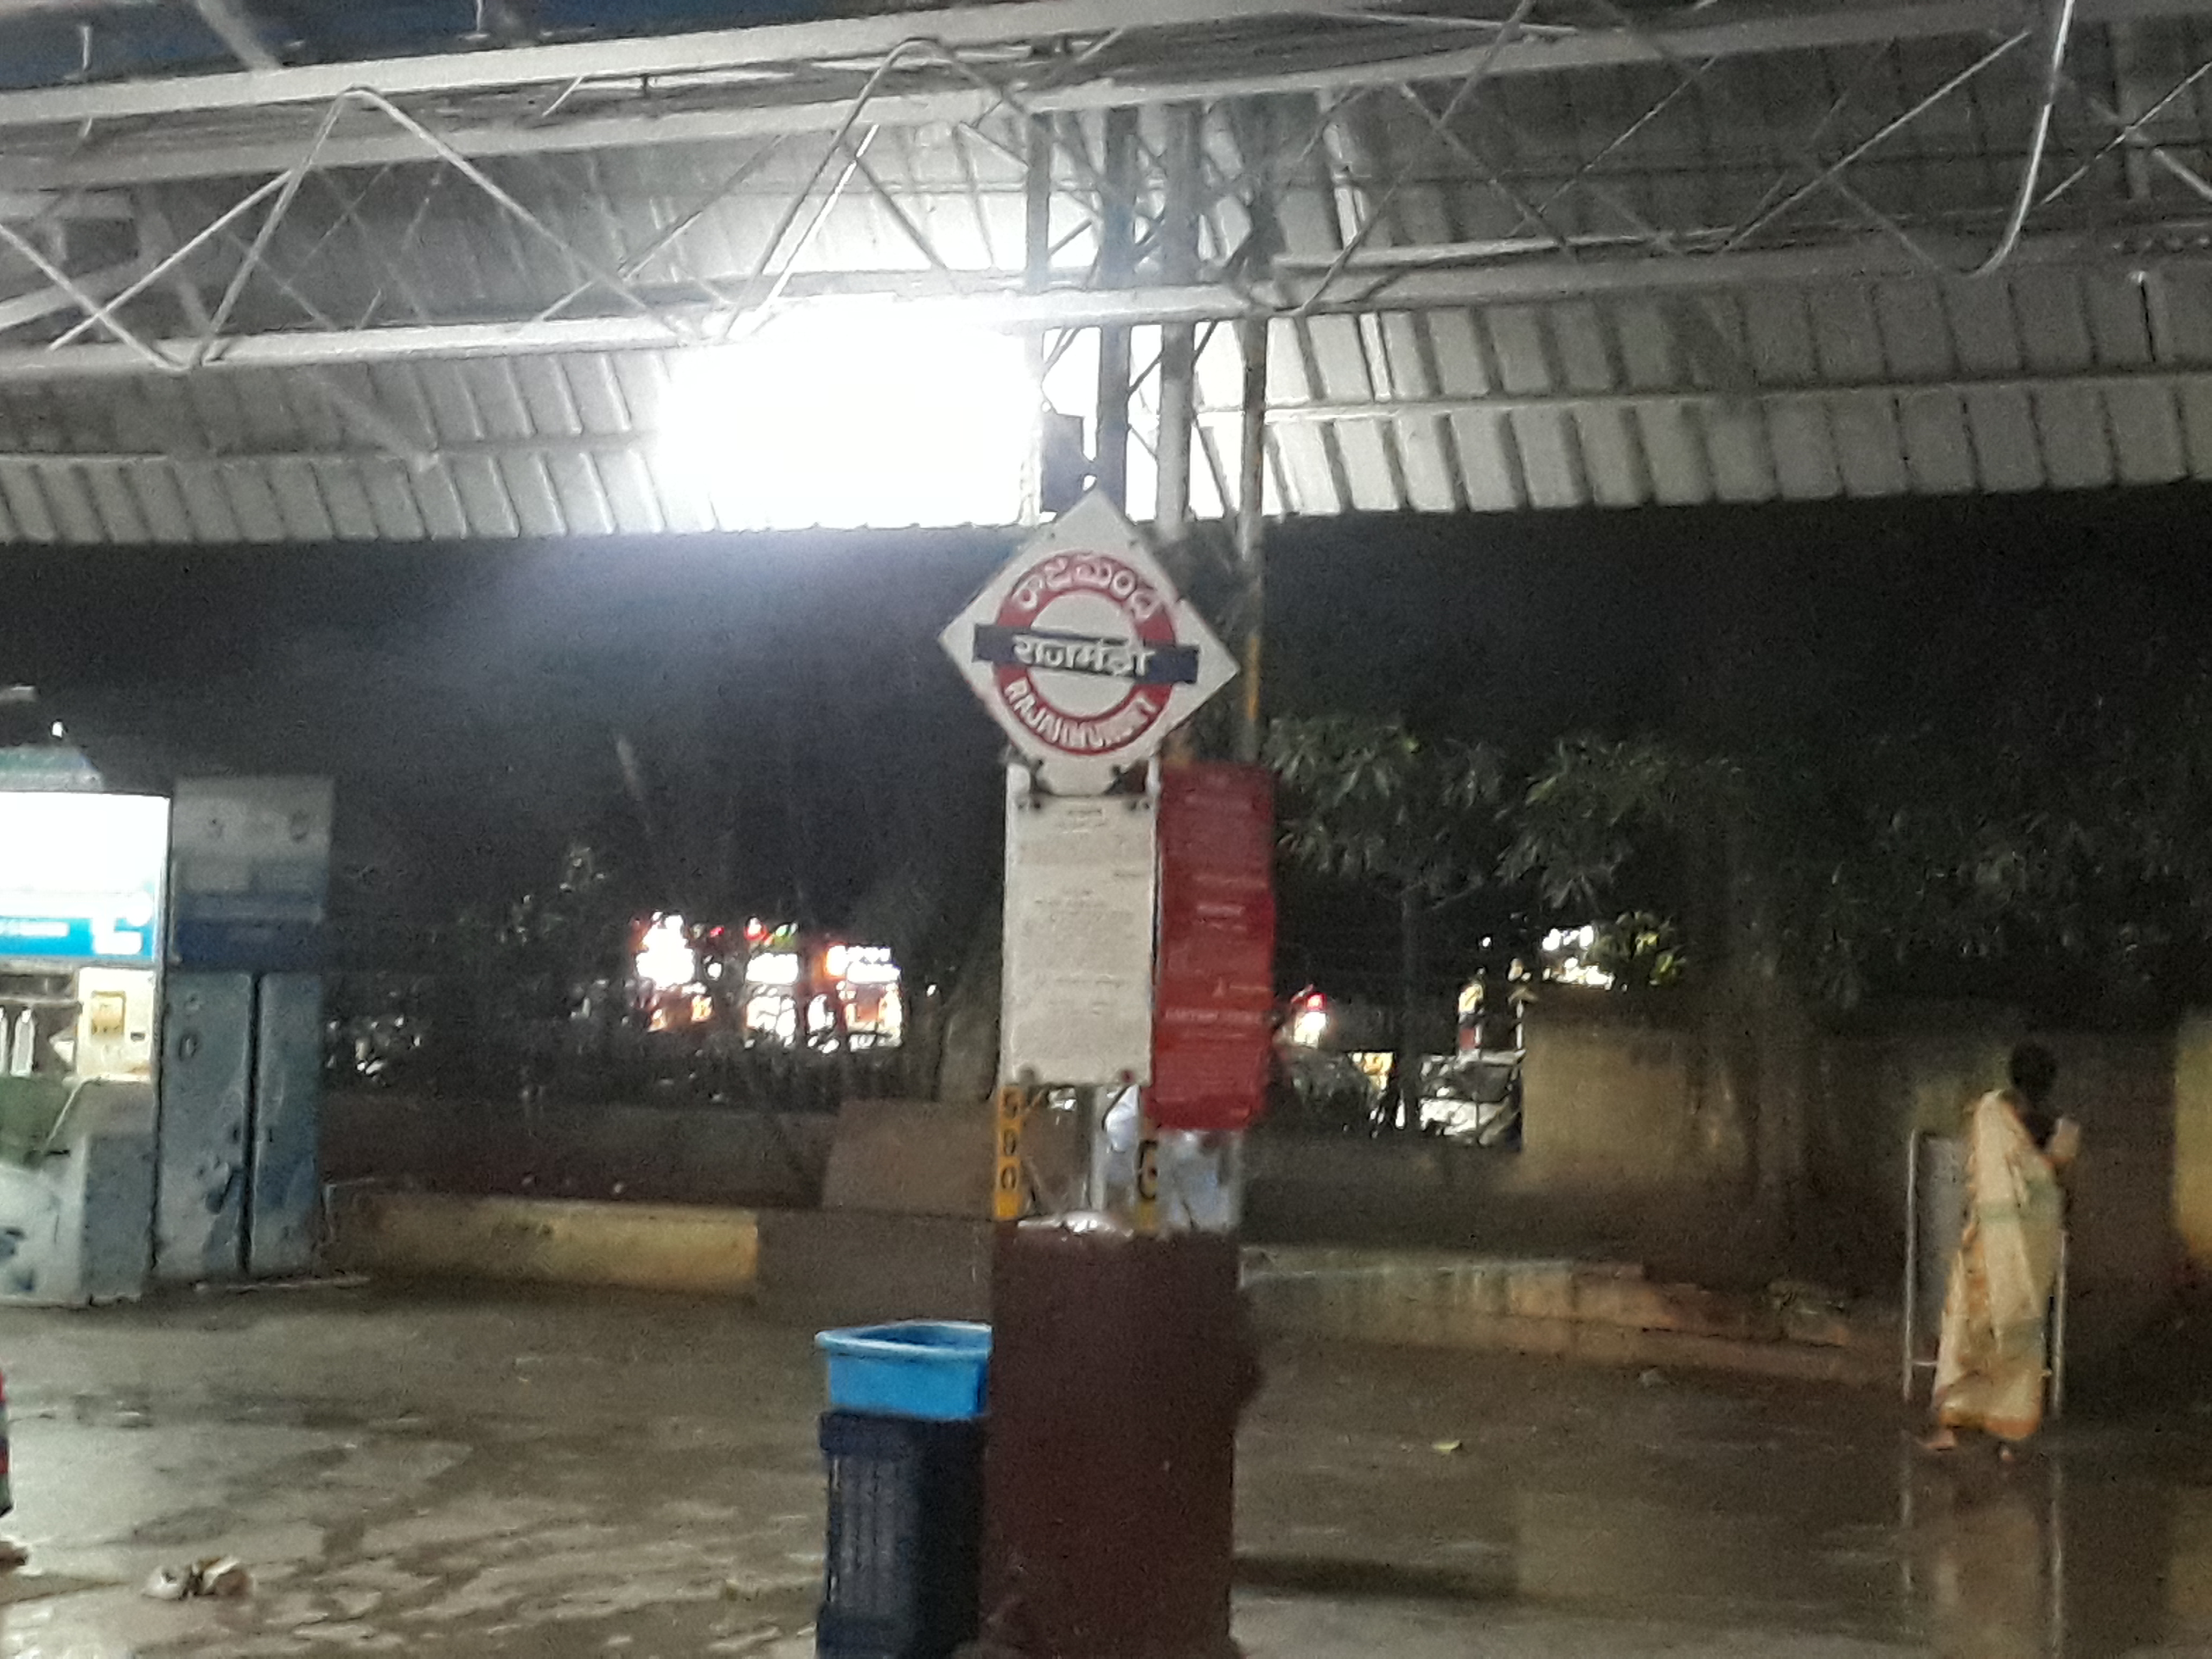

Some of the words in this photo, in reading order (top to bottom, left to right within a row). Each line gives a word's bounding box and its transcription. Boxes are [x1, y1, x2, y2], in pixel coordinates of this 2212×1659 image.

[1004, 540, 1172, 629] రాజమండ్రి
[1006, 629, 1163, 686] राजमंड्री
[998, 674, 1165, 756] RAJAMUNDRY